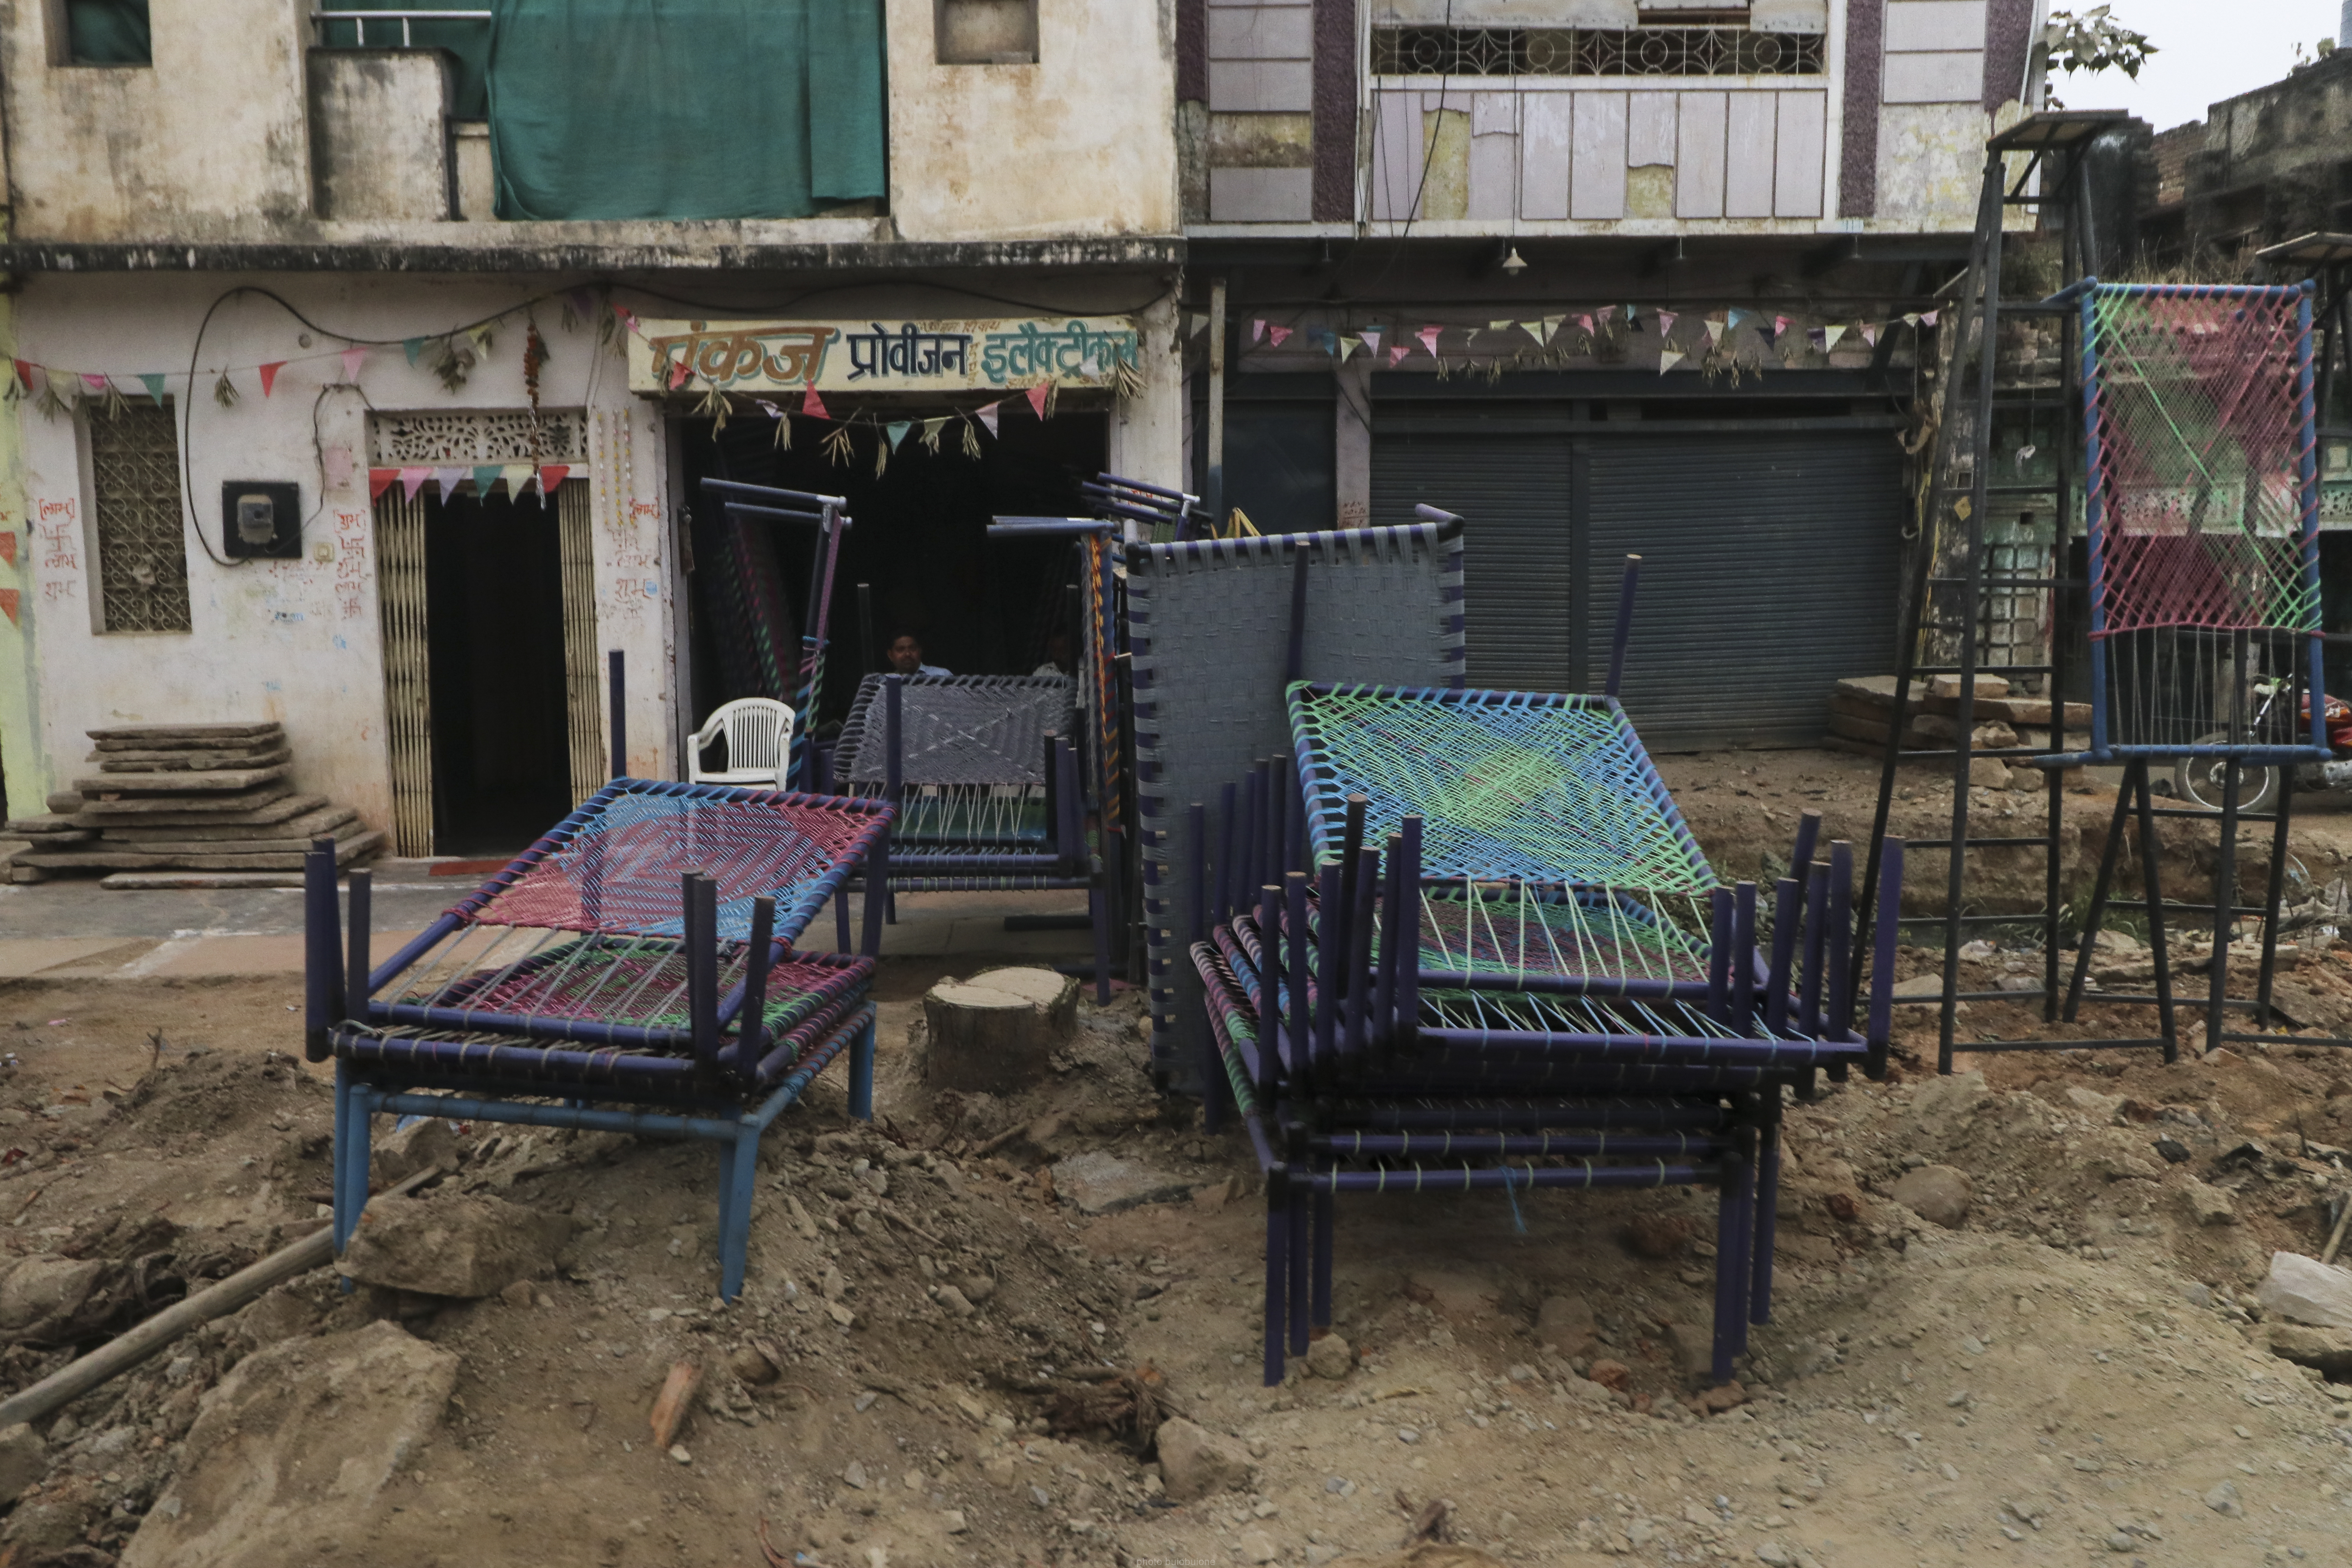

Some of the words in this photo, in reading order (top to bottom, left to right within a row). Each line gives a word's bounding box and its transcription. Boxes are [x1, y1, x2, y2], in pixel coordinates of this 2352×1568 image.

[645, 316, 837, 385] पंकज
[847, 321, 972, 380] प्रोवीजन
[979, 316, 1140, 386] इलैक्ट्रीकल